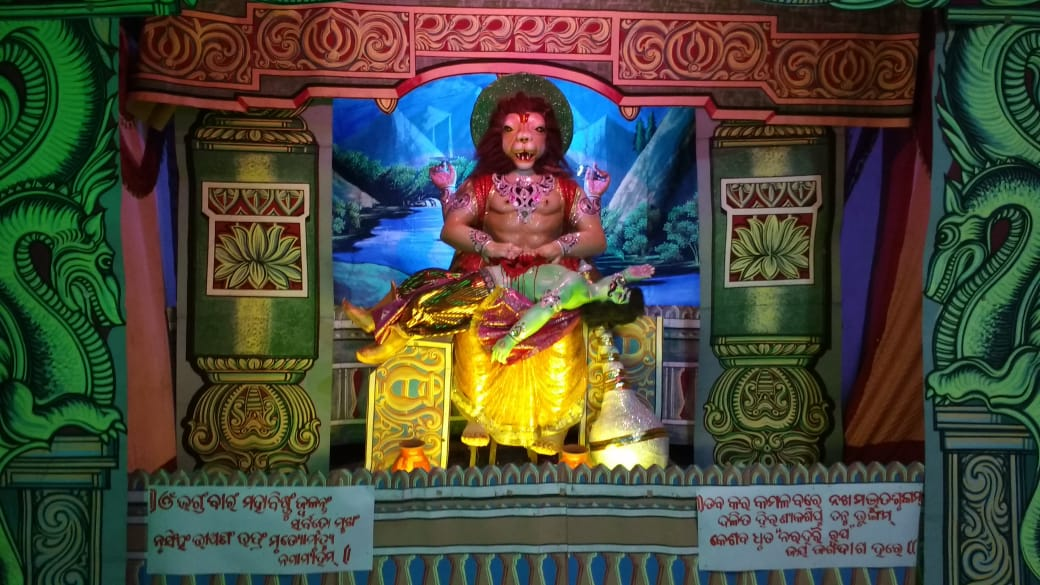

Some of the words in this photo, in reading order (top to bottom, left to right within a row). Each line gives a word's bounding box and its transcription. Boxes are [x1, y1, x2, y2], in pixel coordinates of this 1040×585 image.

[145, 486, 177, 516] ଓଁ
[238, 485, 301, 525] ମହାବିଷ୍ଣୁ
[284, 510, 335, 536] ସର୍ବତୋ
[329, 506, 361, 541] ମୁଖ
[693, 485, 757, 515] ତବ କର
[701, 526, 753, 551] କେଶବ
[711, 503, 757, 533] ଦଳିତ
[749, 527, 779, 555] ଧୃତ
[749, 488, 827, 517] କମଳବରେ
[823, 503, 853, 531] ତନ୍ମ
[823, 523, 854, 545] ର‌ପ
[808, 539, 871, 559] କଖଦାଶ
[867, 533, 909, 559] ଦୂରେ